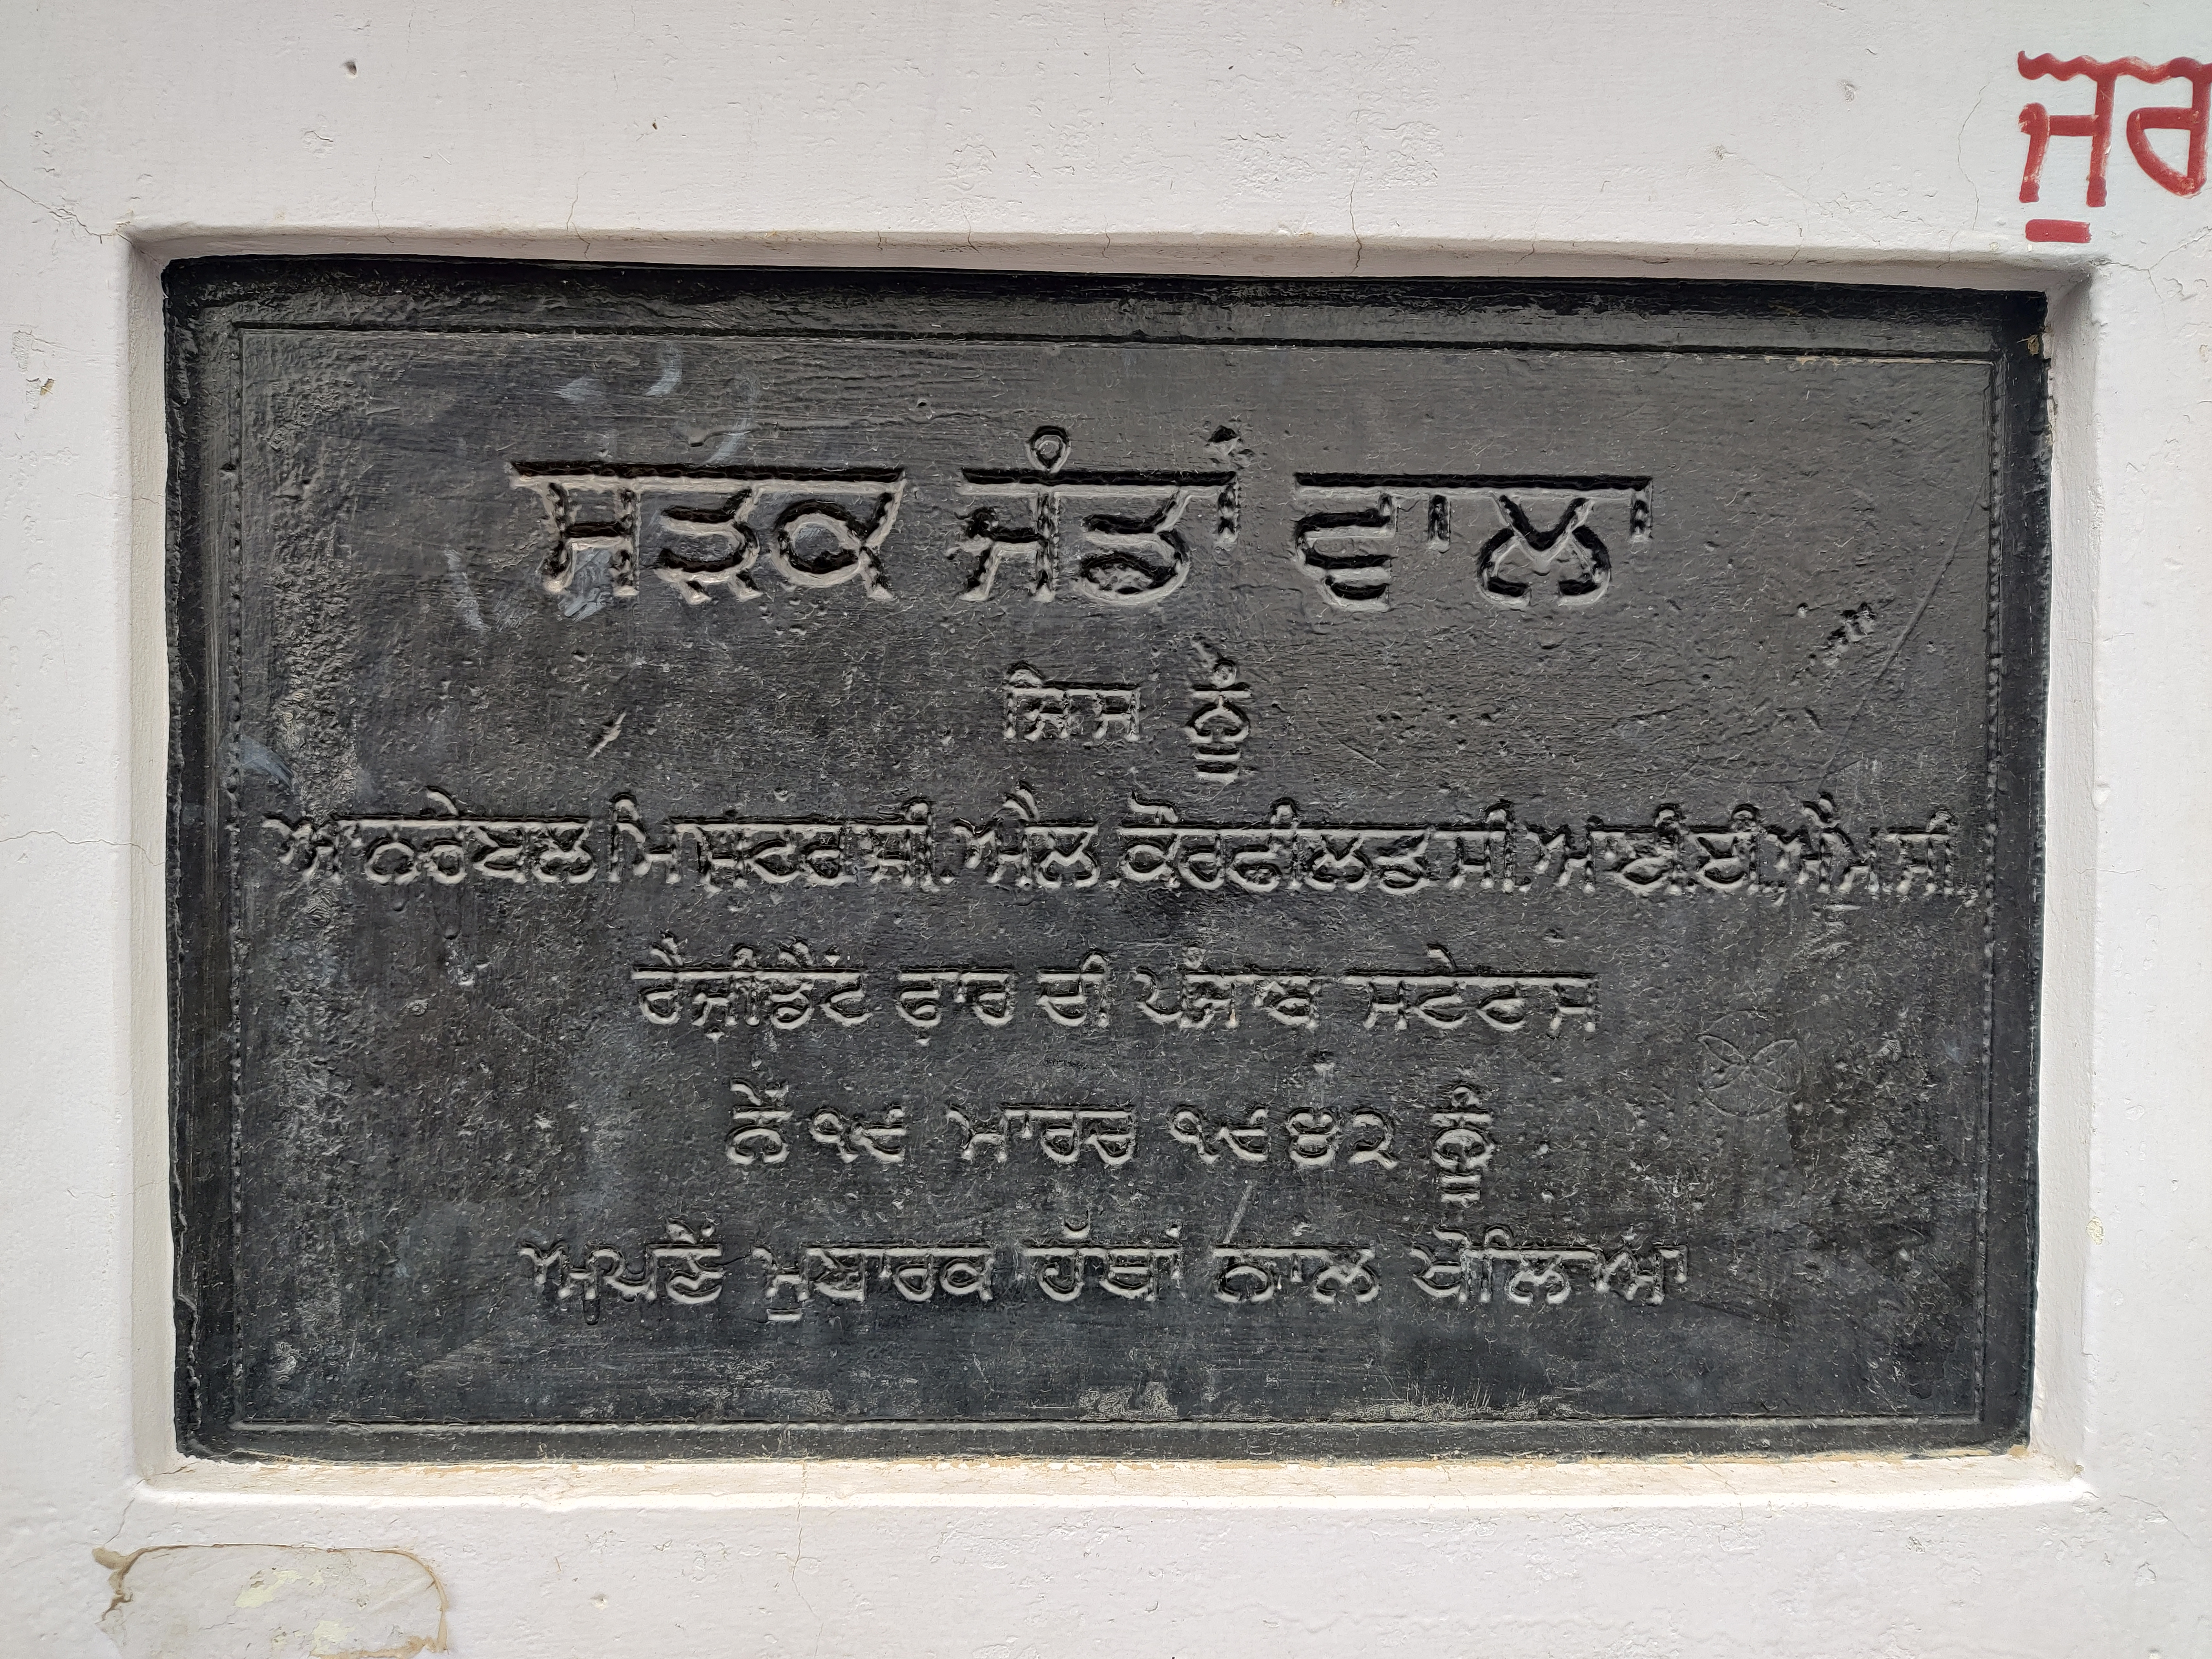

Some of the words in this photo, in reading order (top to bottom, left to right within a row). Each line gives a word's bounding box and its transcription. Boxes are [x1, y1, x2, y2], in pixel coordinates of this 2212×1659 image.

[1997, 42, 2211, 254] ਜੁਰ
[486, 451, 918, 646] ਸੜਕ
[943, 409, 1264, 617] ਜੰਡਾਂ
[1281, 456, 1679, 634] ਵਾਲਾ
[985, 656, 1154, 769] ਜਿਸ
[1172, 649, 1272, 790] ਨੂੰ
[252, 775, 611, 909] ਆਨਰੇਬਲ
[601, 778, 963, 912] ਮਿਸਟਰ ਜੀ.
[941, 774, 1126, 903] ਐਲ
[1106, 779, 1541, 907] ਕੋਰਫੀਲਡਸੀ.
[1524, 791, 1792, 916] ਆਂਈਈ,
[1766, 783, 1985, 919] ਐਮਸੀ.
[614, 924, 891, 1059] ਰੈਜ਼ੀਡੈਂਟ
[884, 957, 1025, 1055] ਫਾਰ
[1019, 942, 1125, 1053] ਚੀ
[1123, 940, 1339, 1047] ਪੰਜਾਬ
[1335, 937, 1614, 1055] ਸਟੇਰਸ
[708, 1067, 807, 1180] ਨੇਂ
[805, 1094, 926, 1185] ੧੯
[940, 1088, 1154, 1182] ਮਾਰਚ
[1158, 1088, 1412, 1183] ੧੯੪੨
[1416, 1066, 1507, 1209] ਨੂੰ
[506, 1207, 732, 1327] ਅਪਣੇਂ
[734, 1229, 999, 1329] ਮੁਬਾਰਕ
[1009, 1208, 1198, 1316] ਹੱਥਾਂ
[1198, 1229, 1388, 1318] ਨਾਲ
[1401, 1218, 1699, 1317] ਖੋਲਿਆ